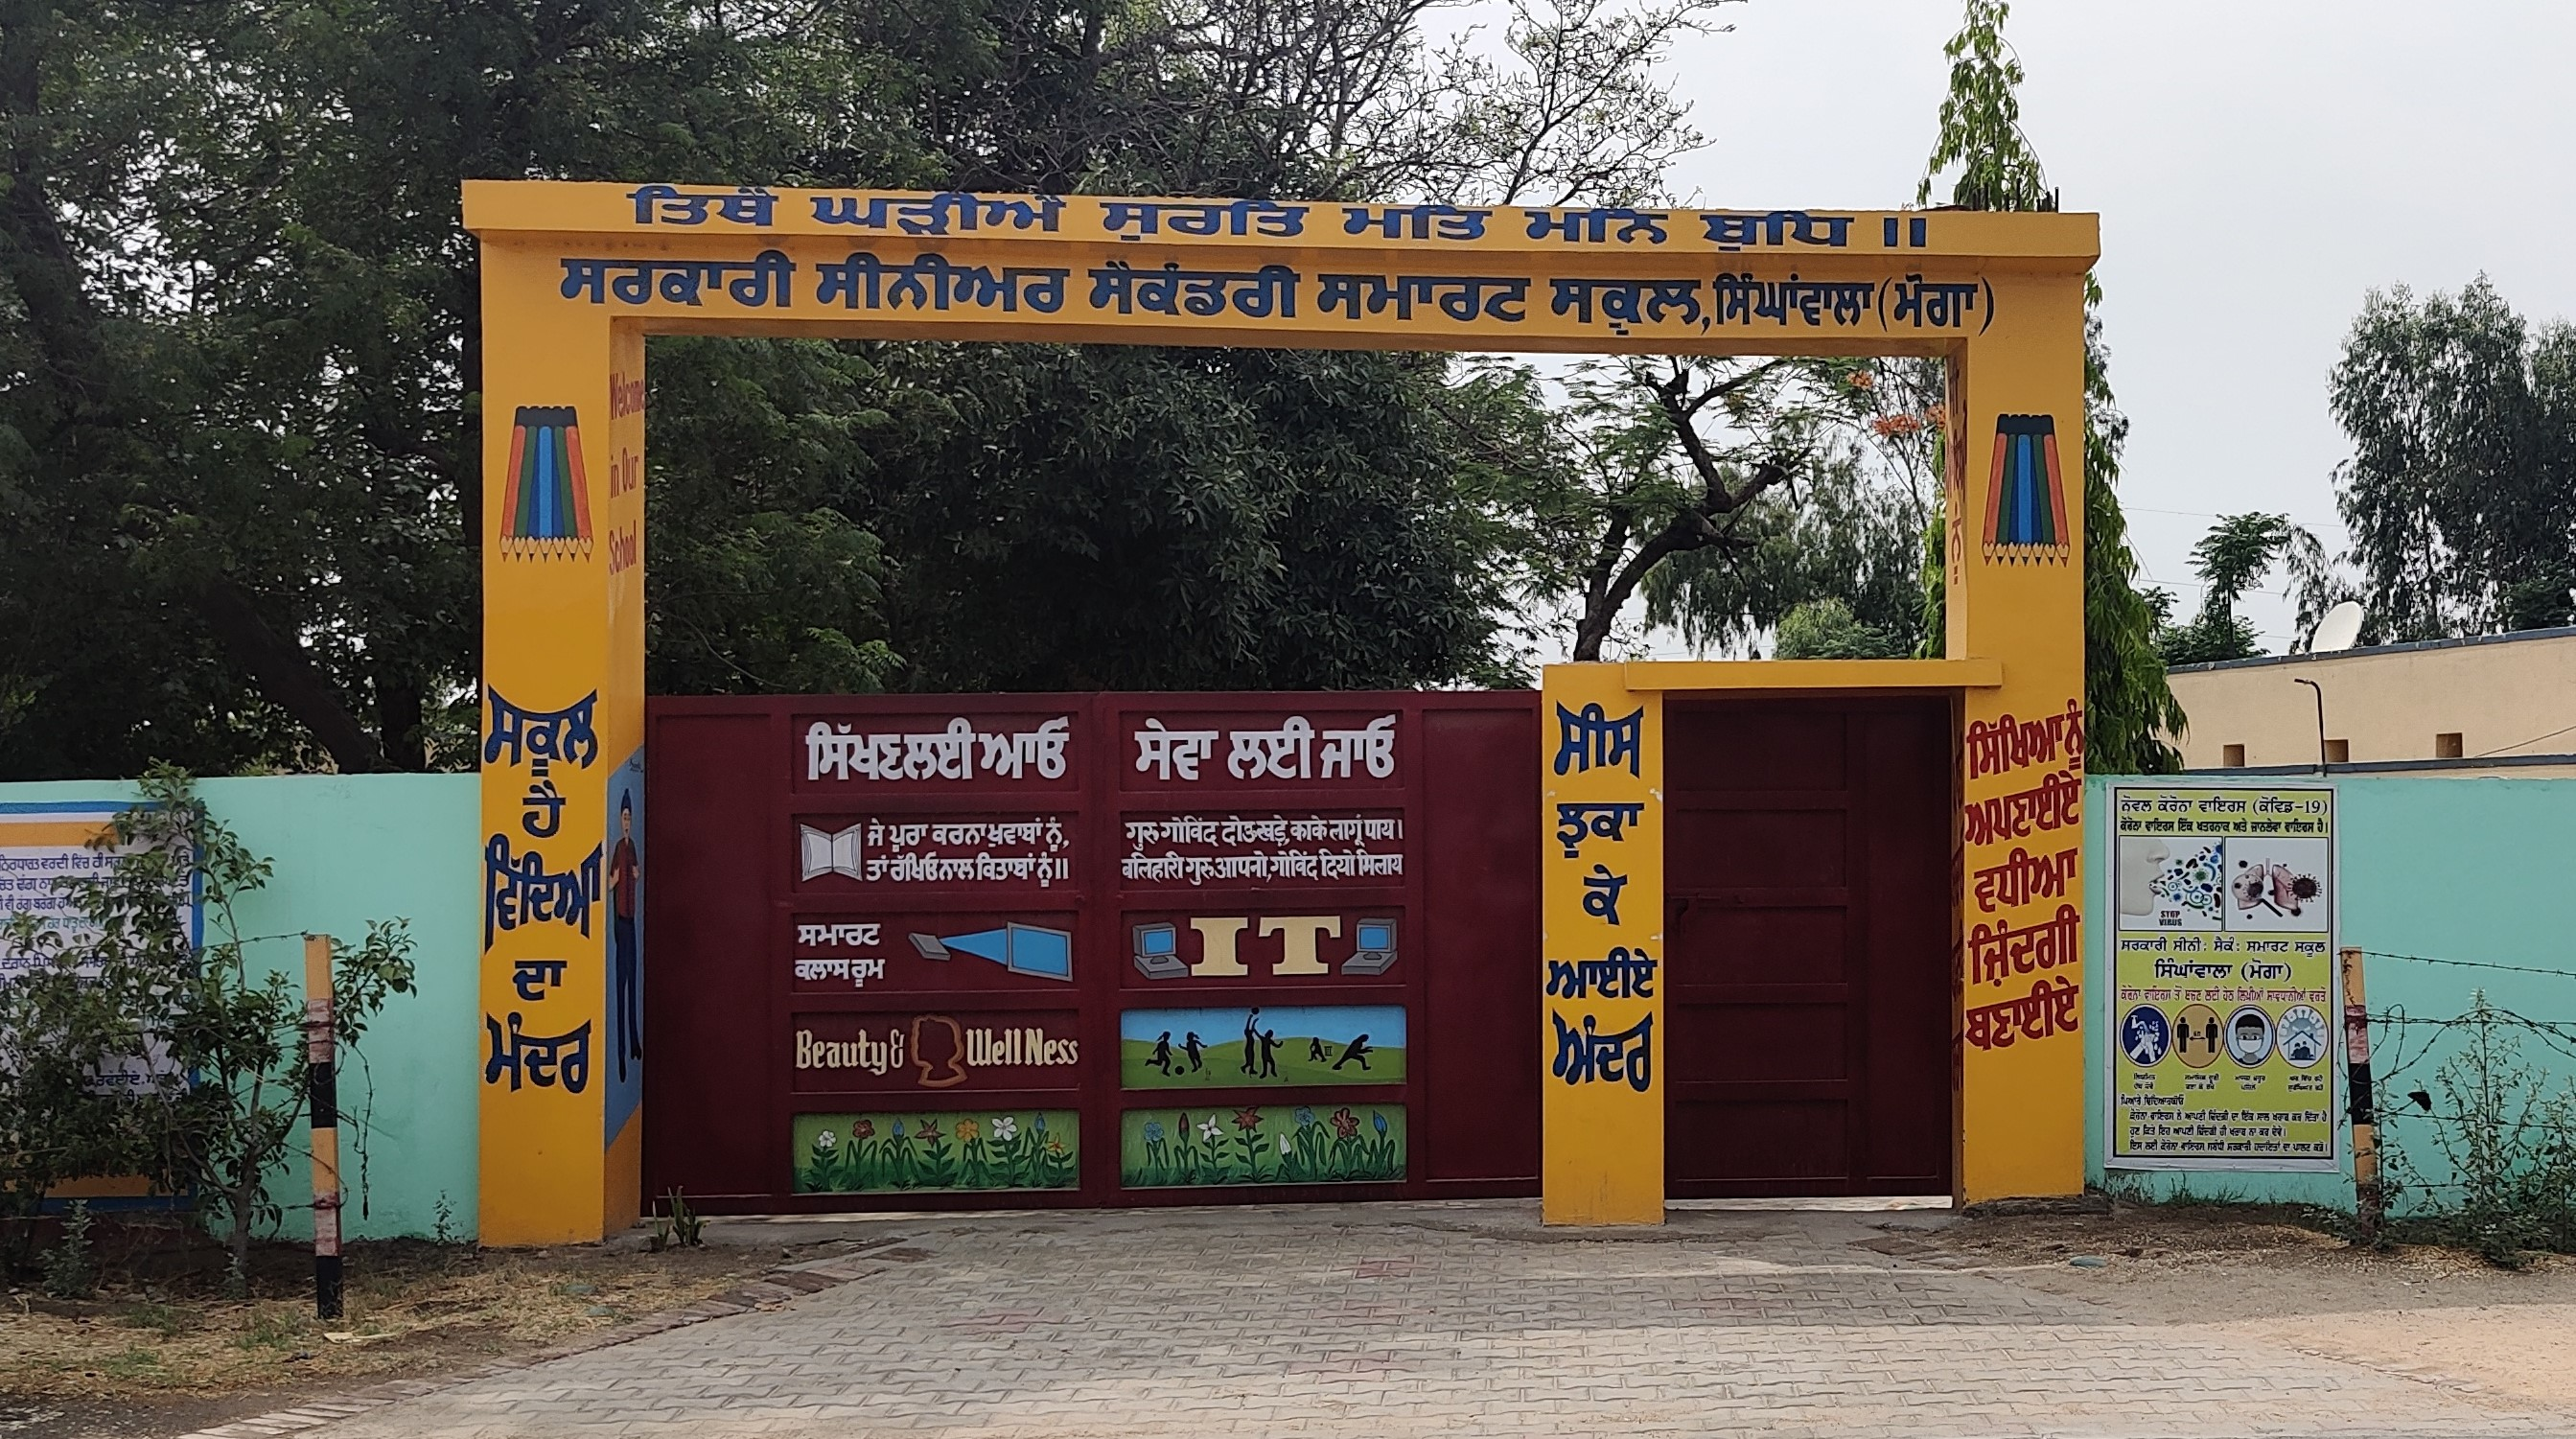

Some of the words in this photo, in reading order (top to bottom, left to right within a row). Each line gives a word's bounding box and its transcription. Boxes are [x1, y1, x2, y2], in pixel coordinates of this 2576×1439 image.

[617, 182, 790, 233] ਤਿਥੈ
[804, 186, 1081, 239] ਘੜੀਐ
[1093, 197, 1321, 245] ਸਰਤਿ
[1332, 199, 1502, 252] ਮਤਿ
[1513, 205, 1681, 252] ਮਨਿ
[1688, 208, 1867, 257] ਬੁਧਿ
[1876, 213, 1938, 257] ।।
[547, 240, 808, 319] ਸਰਕਾਰੀ
[808, 245, 1081, 324] ਸੀਨੀਅਰ
[1079, 249, 1311, 330] ਸੈਕੰਡਰੀ
[1308, 265, 1542, 337] ਸਮਾਰਟ
[1541, 264, 1707, 339] ਸਕੂਲ
[1705, 265, 1882, 337] ਸਿੰਘਾਂਵਾਲਾ
[1880, 267, 1989, 336] ਮਗਾ
[480, 679, 609, 783] ਸਕੂਲ
[792, 711, 977, 787] ਸਿੱਖਣਲਈ
[976, 712, 1077, 786] ਆਓ
[1122, 712, 1223, 790] ਸੇਵਾ
[1215, 709, 1321, 787] ਲਈ
[1314, 710, 1405, 783] ਜਾਓ
[1545, 686, 1657, 789] ਸੀਸ
[1962, 701, 2066, 786] ਸਿੱਖਿਆ
[2058, 685, 2086, 772] ਨੂੰ
[511, 774, 577, 847] ਹੈ
[864, 811, 887, 850] ਜੇ
[887, 816, 929, 854] ਪੁਰਾ
[927, 812, 1045, 850] ਕਰਨਾ ਖੁਵਾਬਾਂ
[1044, 811, 1068, 854] ਨੂੰ
[1121, 817, 1160, 851] गुरु
[1159, 810, 1221, 849] गोविंद
[1218, 810, 1257, 847] ਟੀਲ
[1255, 810, 1289, 849] खडे़
[1288, 810, 1330, 846] काके
[1326, 810, 1368, 848] लागूं
[1363, 806, 1401, 847] पाय।
[1549, 794, 1652, 870] ਝੁਕਾ
[1962, 768, 2086, 850] ਅਪਣਾਈਏ
[2117, 792, 2155, 814] ਨੋਵਲ
[2152, 792, 2196, 816] ਕੋਰੋਨ
[2194, 795, 2252, 816] ਵਾਇਰਸ
[2254, 793, 2326, 817] ਕੋਵਿਡ-19)
[0, 851, 40, 872] ਨਿਰਧਾਰਤ
[14, 870, 39, 894] ਢੰਗ
[39, 850, 70, 873] ਵਰਦੀ
[70, 849, 92, 871] ਵਿਂਰ
[90, 850, 105, 870] ਹੀ
[479, 825, 609, 963] ਵਿੱਦਿਆ
[862, 849, 890, 887] ਤਾਂ
[887, 848, 975, 888] ਰੱਖਿਓਨਾਲ
[975, 848, 1038, 885] ਕਿਤਾਬਾਂ
[1033, 848, 1057, 891] ਨੂੰ
[1117, 847, 1186, 885] बलिहारी
[1184, 850, 1215, 890] गुरु
[1214, 847, 1269, 884] आपनो
[1268, 846, 1321, 887] गोविंद
[1314, 845, 1357, 885] दियो
[1351, 847, 1408, 882] मिलाय
[1568, 853, 1635, 935] ਕੇ
[1965, 839, 2084, 916] ਵਧੀਆ
[504, 950, 574, 1008] ਦਾ
[792, 919, 888, 951] ਸਮਾਰਟ
[793, 954, 891, 990] ਕਲਾਸਰੂਮ
[1543, 940, 1663, 1010] ਆਈਏ
[1964, 900, 2087, 995] ਜ਼ਿੰਦਗੀ
[2118, 935, 2170, 954] ਸਰਕਾਰੀ
[2168, 933, 2210, 956] ਸੀਨੀ:
[2151, 956, 2239, 982] ਸਿੰਘਾਂਵਾਲਾ
[2211, 931, 2244, 958] ਸੈਕੰ:
[2243, 956, 2290, 981] ਮੋਗਾ
[2242, 935, 2292, 954] ਸਮਾਰਟ
[2289, 936, 2331, 960] ਸਕੂਲ
[1963, 969, 2086, 1060] ਬਣਾਈਏ
[476, 1005, 604, 1106] ਮੰਦਰ
[793, 1023, 889, 1080] Beauty
[885, 1022, 912, 1075] &
[962, 1021, 1080, 1071] WellNess
[1541, 1003, 1658, 1106] ਅੰਦਰ